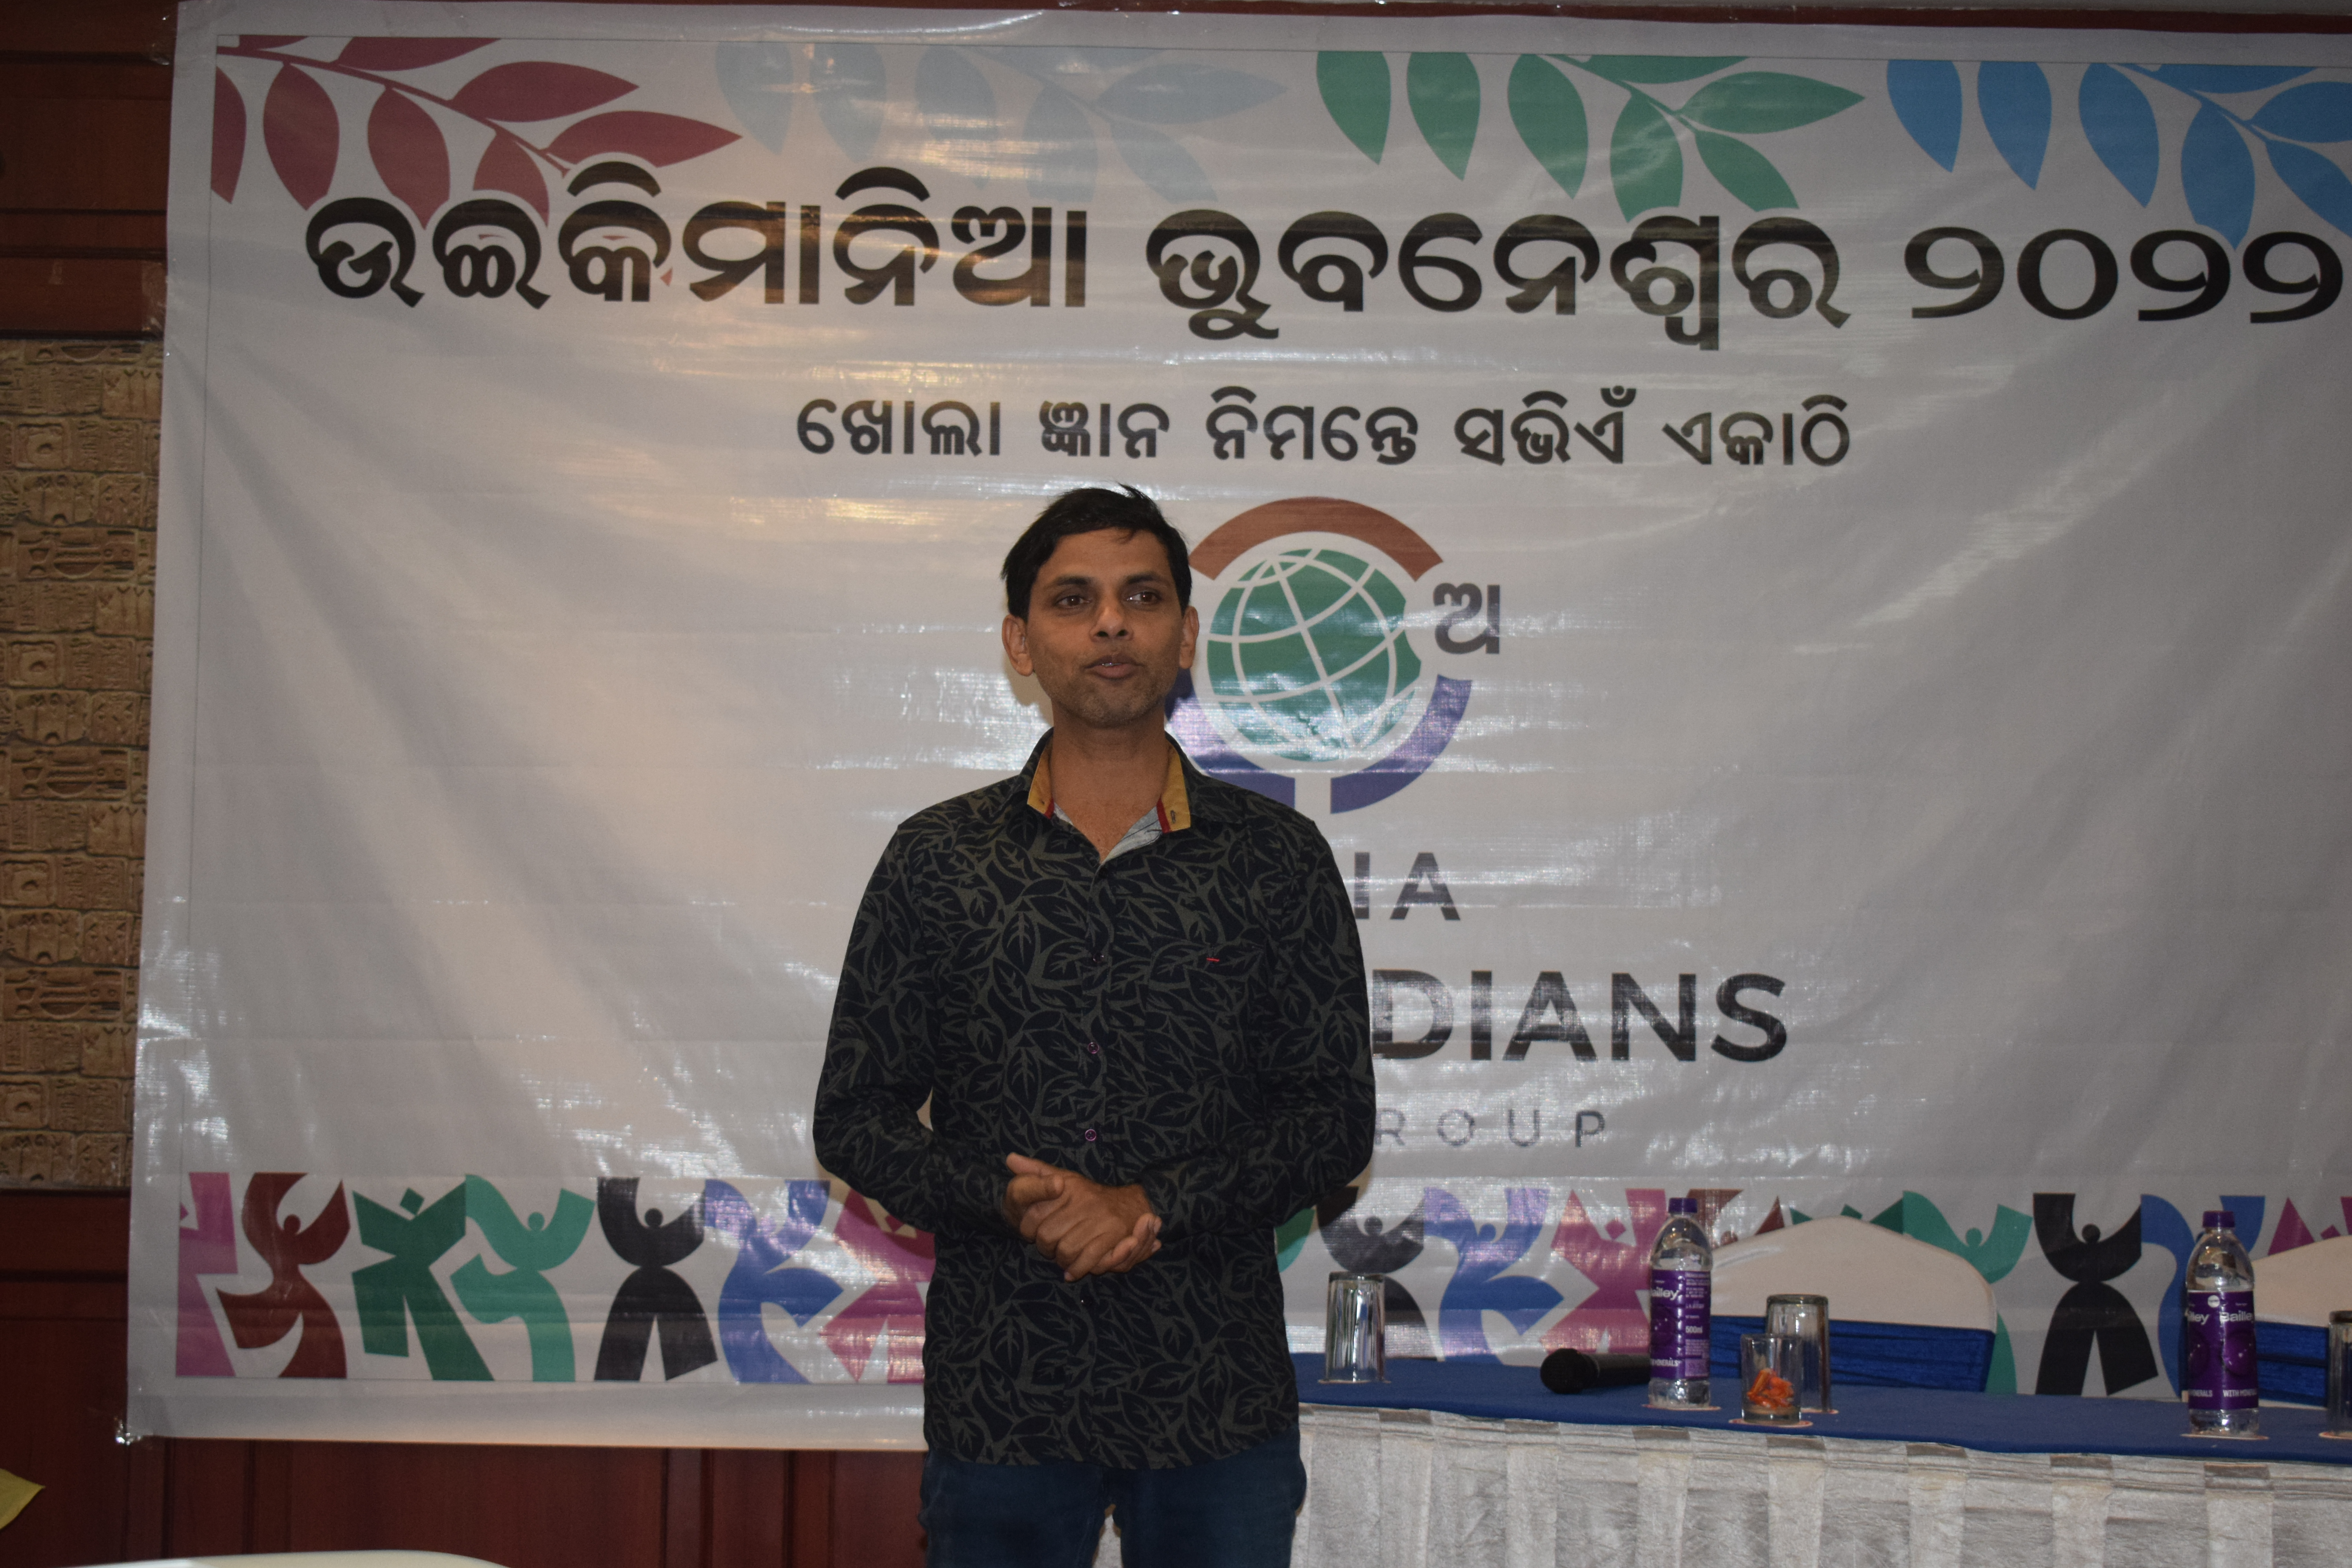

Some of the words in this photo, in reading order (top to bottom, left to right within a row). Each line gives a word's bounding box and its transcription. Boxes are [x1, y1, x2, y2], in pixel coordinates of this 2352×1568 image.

[298, 146, 1092, 314] ଉଇକିମାନିଆ
[1138, 201, 1857, 356] ଭୁବନେଶ୍ବର
[1888, 222, 2347, 329] ୨୦୨୨
[788, 392, 1007, 459] ଖୋଲା
[1033, 392, 1176, 465] ଜ୍ଞାନ
[1201, 380, 1425, 474] ନିମନ୍ତେ
[1450, 378, 1639, 470] ସଭିଏଁ
[1659, 390, 1860, 484] ଏକାଠି
[1424, 573, 1512, 665] ଅ
[1365, 960, 1803, 1068] DIANS